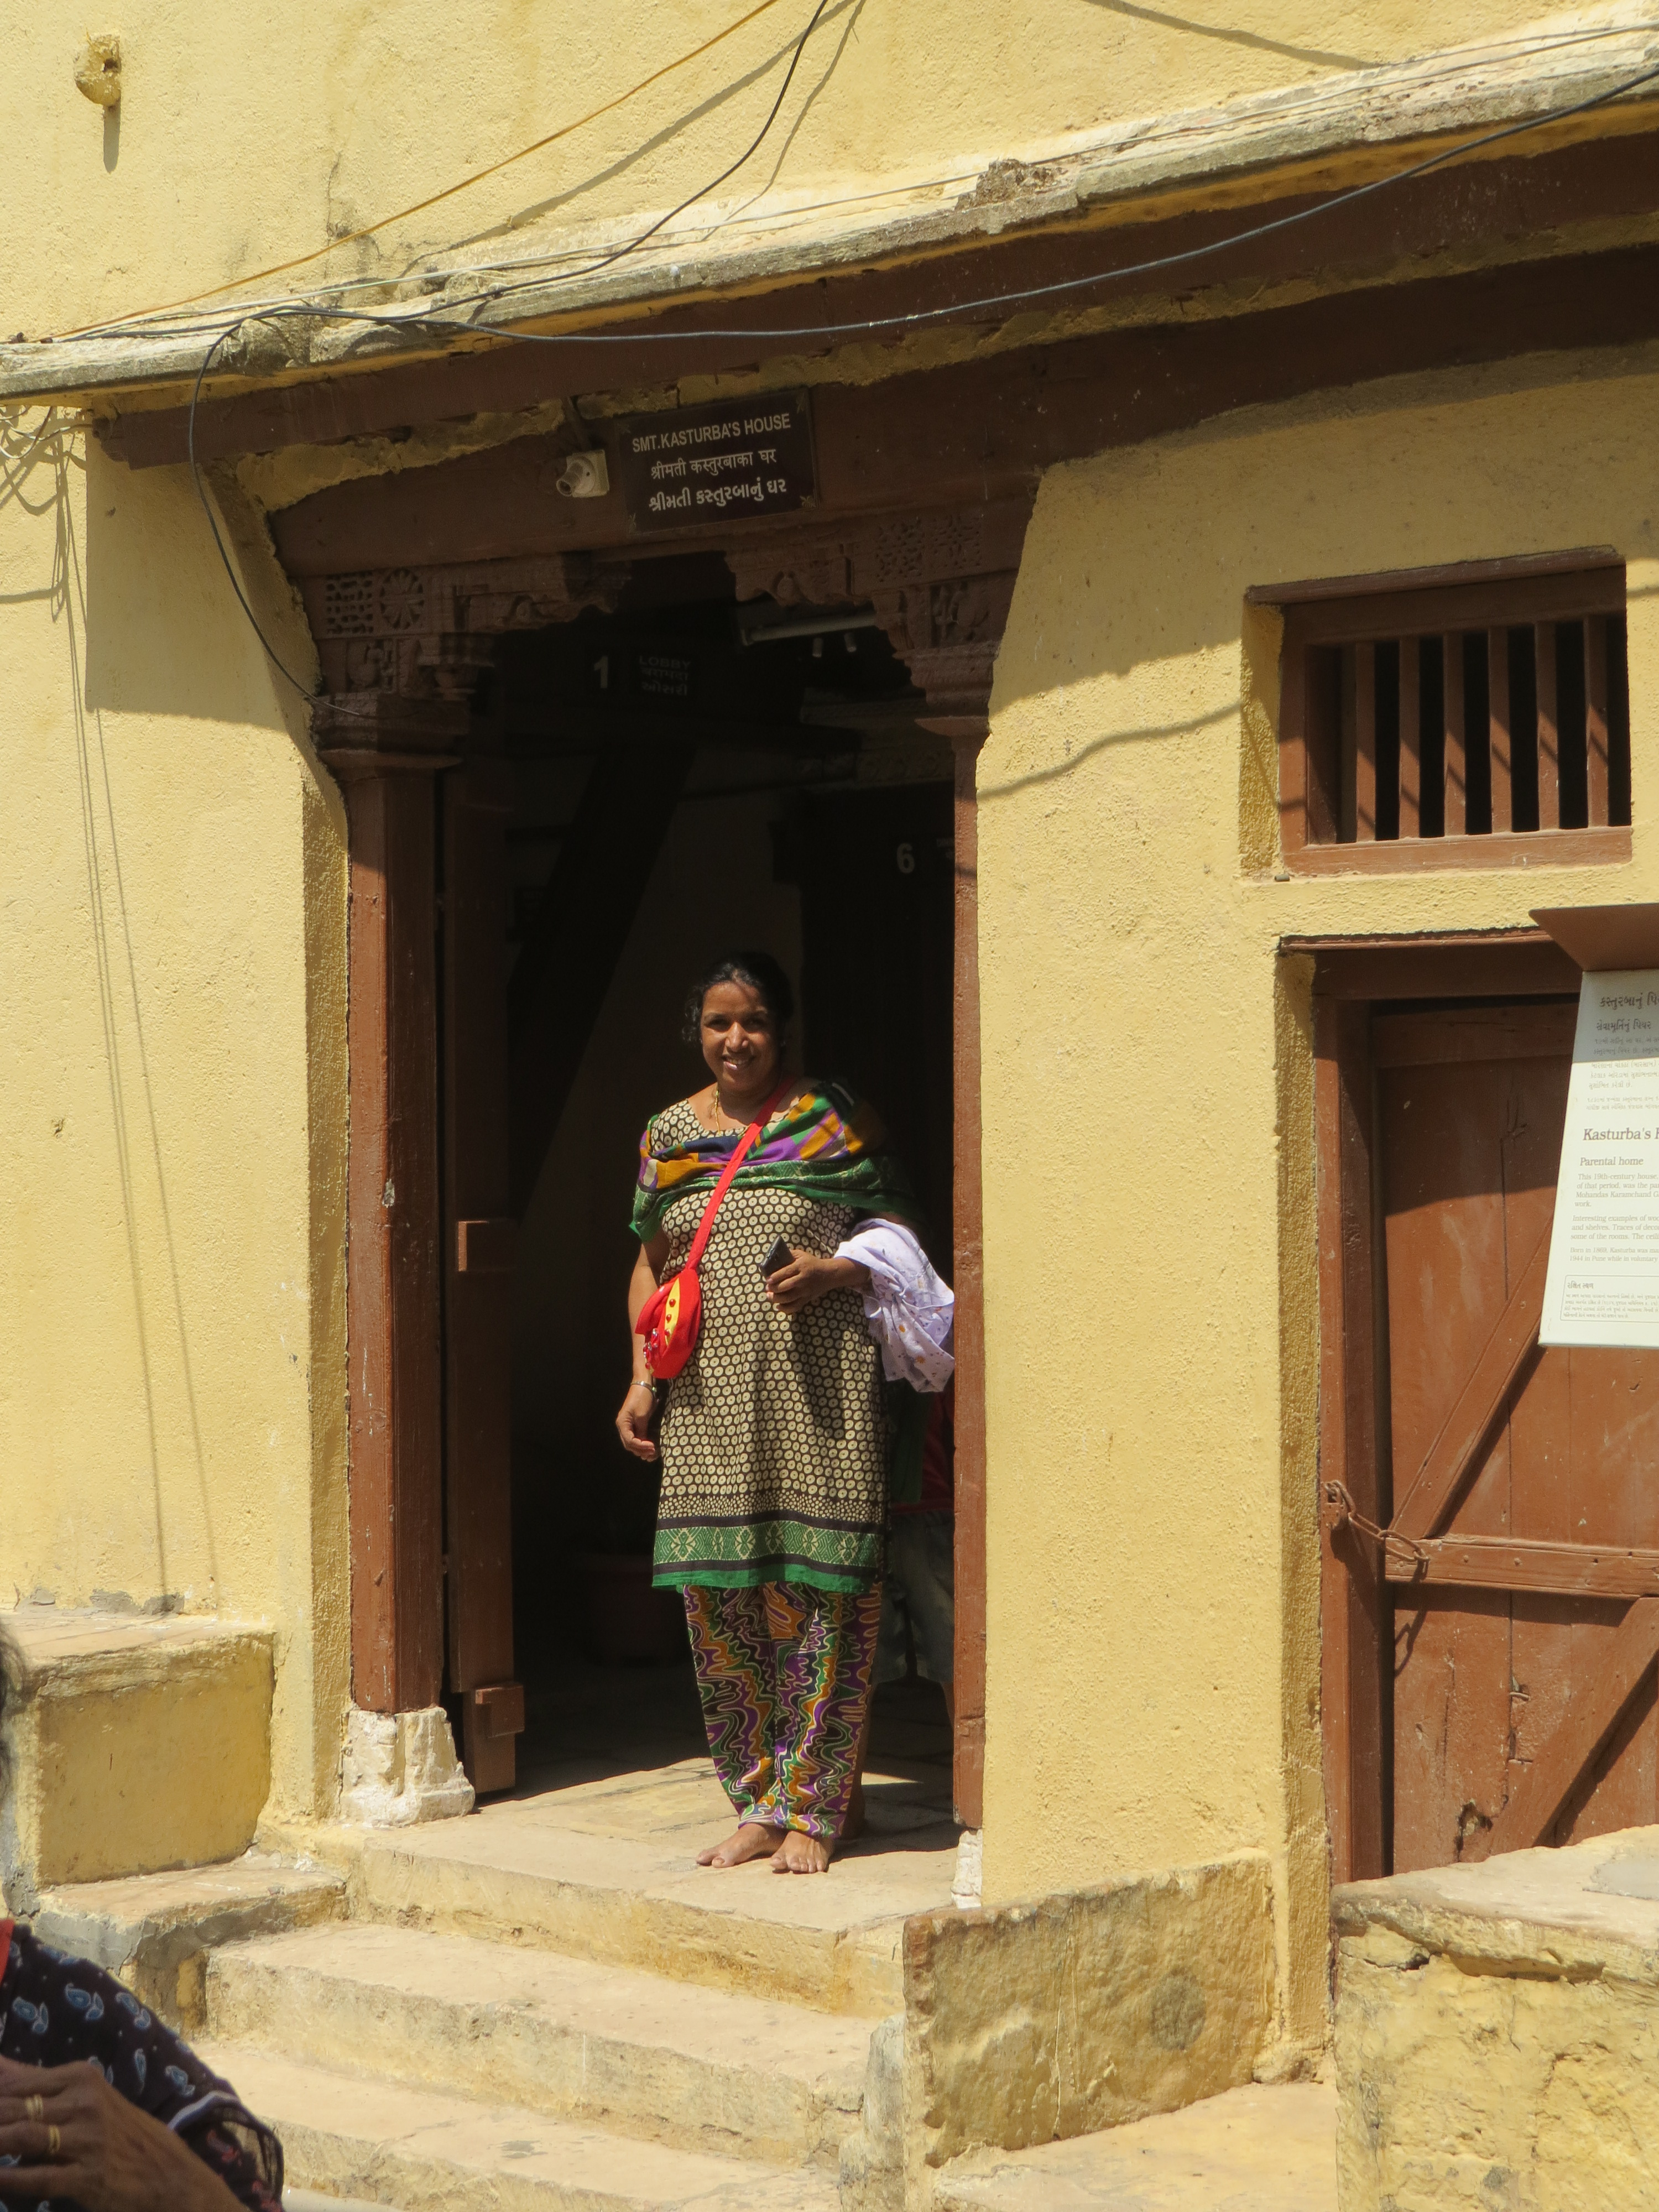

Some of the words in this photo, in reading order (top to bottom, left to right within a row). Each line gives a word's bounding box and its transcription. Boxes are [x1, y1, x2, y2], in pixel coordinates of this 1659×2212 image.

[743, 411, 792, 435] HOUSE
[630, 432, 661, 454] SMT.
[659, 420, 742, 450] KASTURBA
[649, 455, 687, 482] श्रीमती
[688, 450, 755, 477] कस्तुरबाका
[755, 445, 781, 467] घर
[646, 483, 692, 516] શ્રીમતી
[694, 475, 768, 508] કસ્તુરબાનું
[763, 471, 792, 495] ઘર
[587, 649, 613, 693] 1
[638, 666, 688, 682] बरामदा
[637, 654, 692, 672] LOBBY
[639, 678, 688, 697] ઓસરી
[1600, 989, 1645, 1011] કસ્તુરબાનું
[1595, 1014, 1632, 1034] સેવામૂર્તિનું
[1630, 1015, 1654, 1032] પિયર
[1581, 1123, 1651, 1143] Kasturba
[1578, 1152, 1618, 1167] Parental
[1618, 1154, 1646, 1167] home